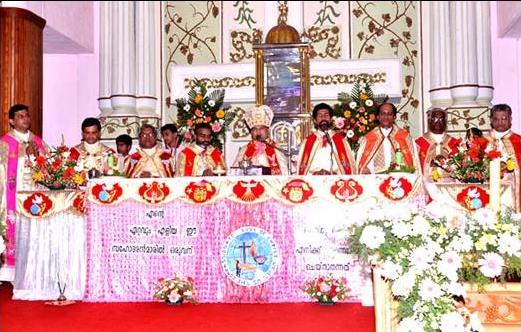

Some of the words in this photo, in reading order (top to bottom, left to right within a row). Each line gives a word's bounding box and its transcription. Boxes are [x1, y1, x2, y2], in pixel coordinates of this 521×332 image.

[180, 223, 202, 243] ഈ